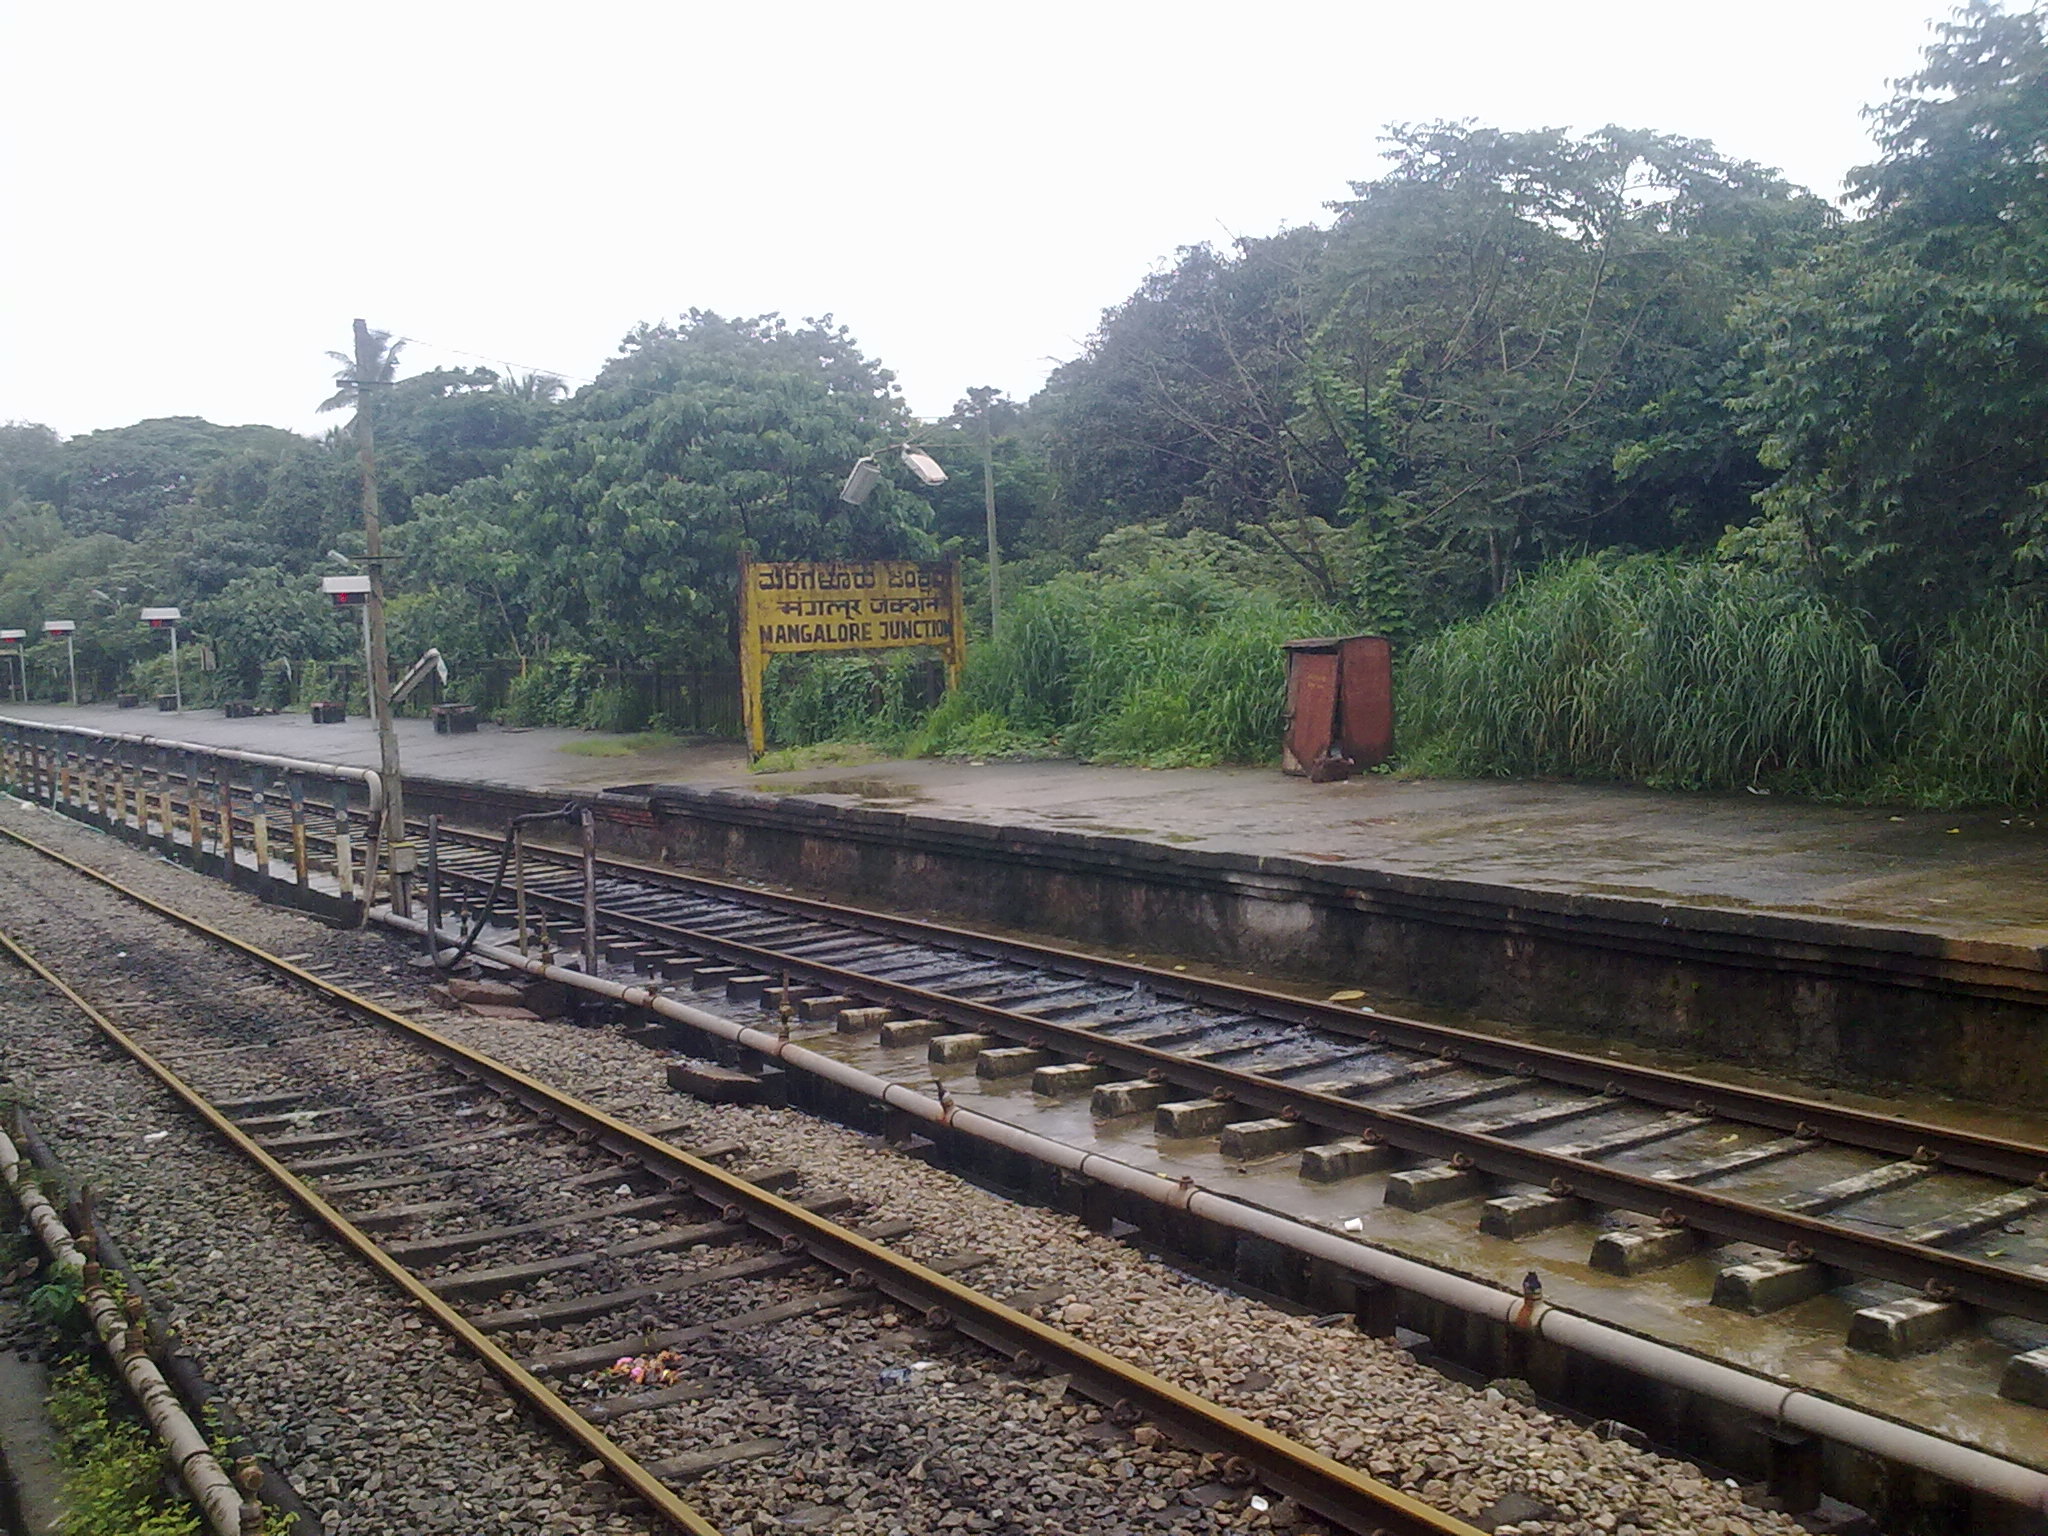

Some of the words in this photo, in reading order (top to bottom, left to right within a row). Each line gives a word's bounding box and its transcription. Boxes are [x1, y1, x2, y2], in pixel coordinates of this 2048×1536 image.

[753, 560, 881, 594] ಮಂಗಳೂರು
[777, 589, 866, 623] मंगल्‌र
[867, 586, 945, 619] जंक्शन
[756, 619, 875, 647] MANGALORE
[875, 614, 957, 644] JUNCTION